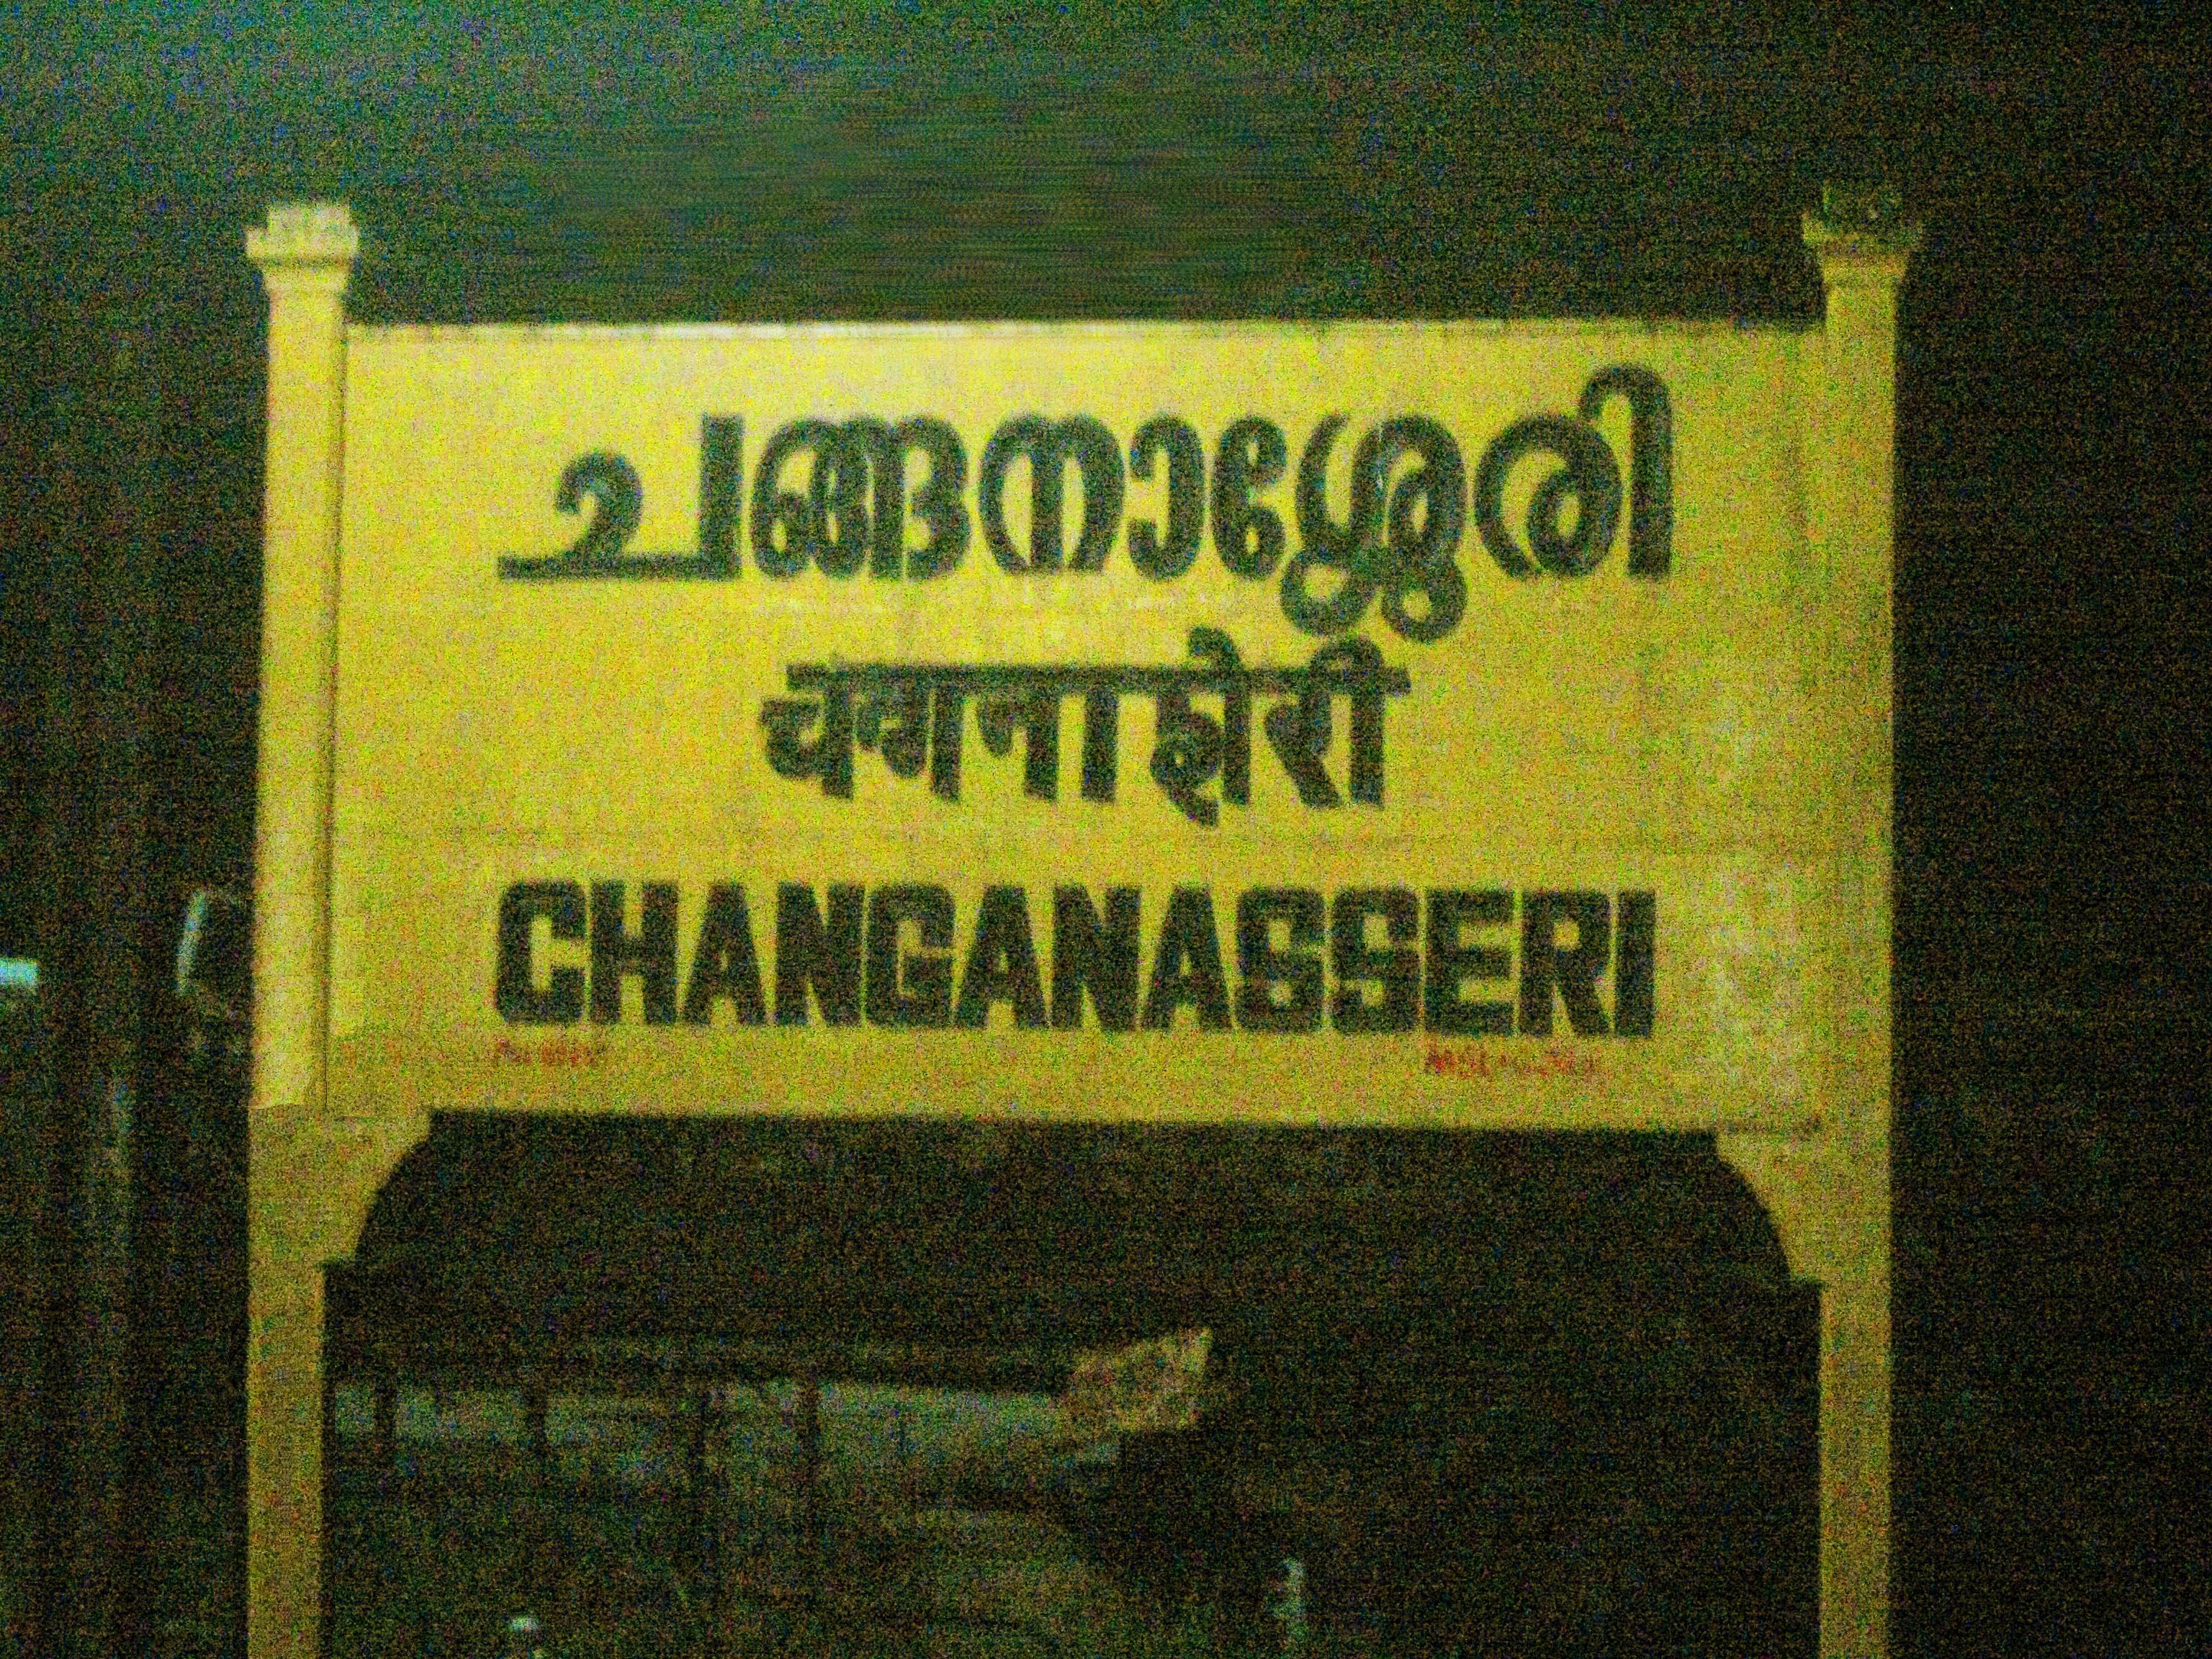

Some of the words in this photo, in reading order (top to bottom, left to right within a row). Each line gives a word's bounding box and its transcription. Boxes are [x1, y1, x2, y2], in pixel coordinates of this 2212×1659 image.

[487, 350, 1675, 655] ചങ്ങനാശ്ശേരി
[743, 616, 1416, 832] चन्गनशेरी
[490, 878, 1663, 1041] CHANGANASSERI